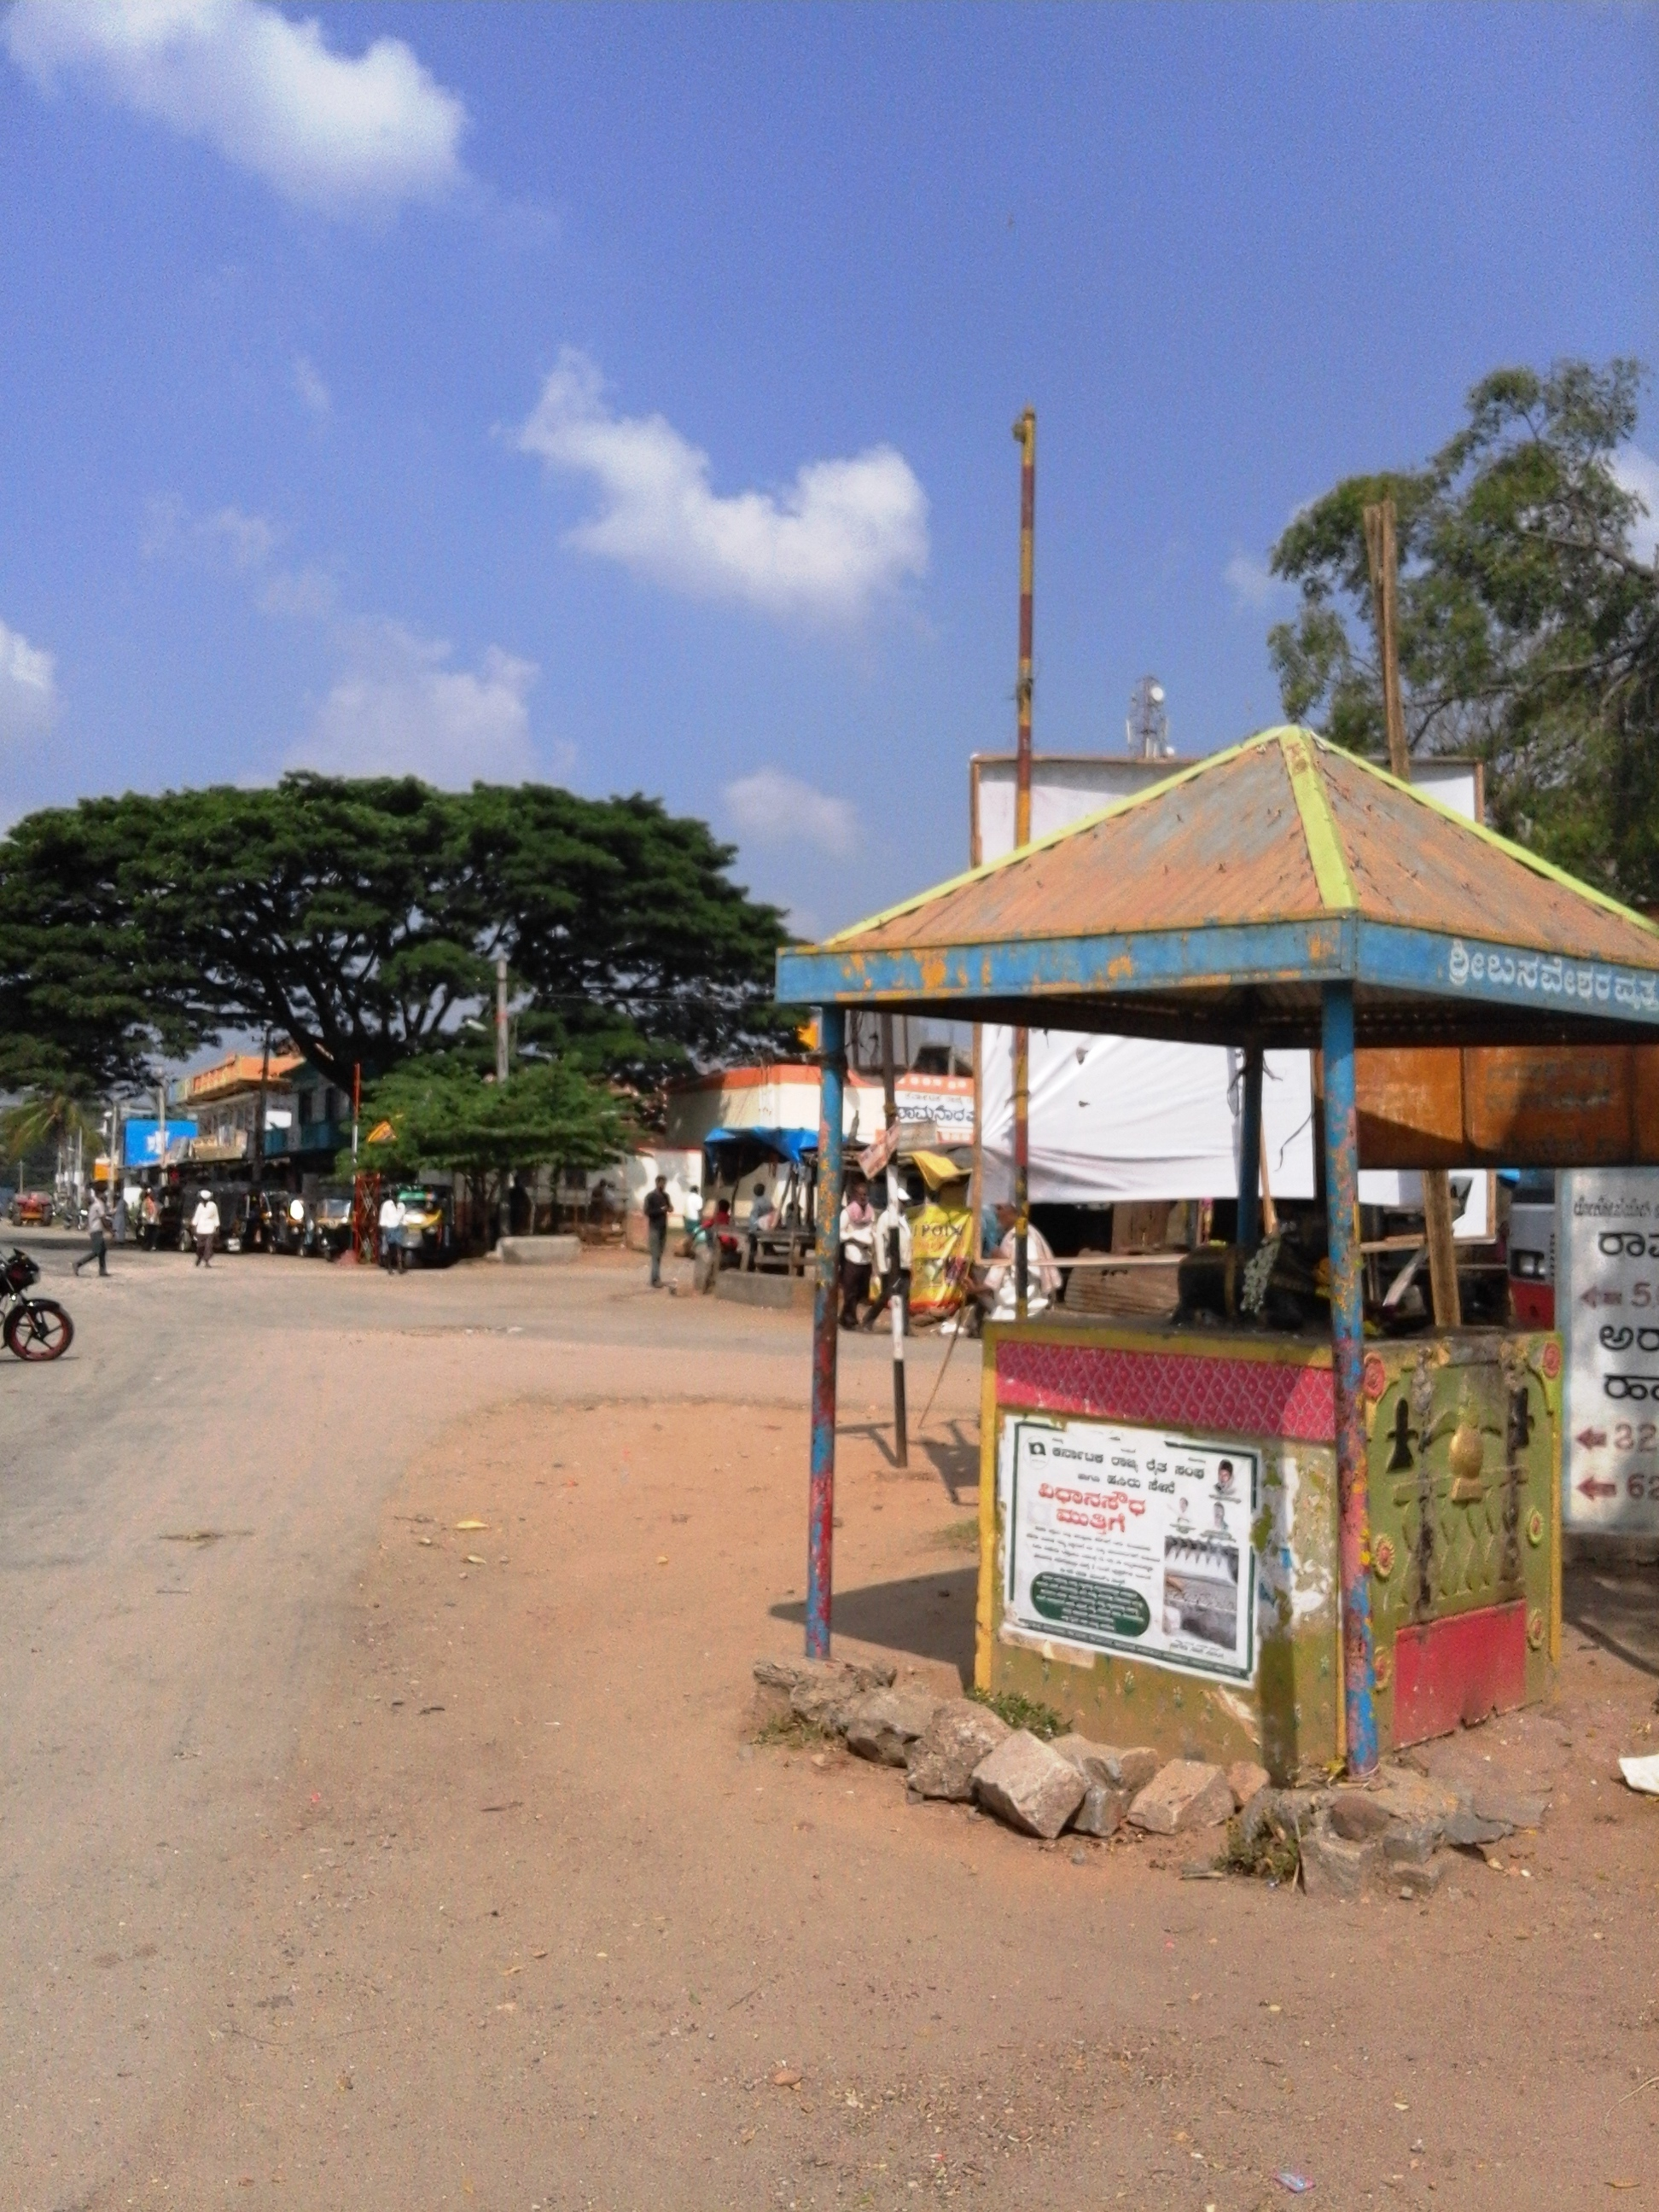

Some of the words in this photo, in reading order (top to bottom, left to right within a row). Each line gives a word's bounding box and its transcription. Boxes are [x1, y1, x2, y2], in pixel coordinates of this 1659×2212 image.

[1442, 928, 1617, 1006] ಶ್ರೀಬಸವೇಶರ
[887, 1102, 968, 1126] ಕರಾಮನಾಥ
[1047, 1441, 1109, 1470] ಆರ್ನಾಟಕ
[1103, 1470, 1144, 1493] జెనరు
[1168, 1459, 1209, 1484] ಸಂಘ
[1035, 1481, 1150, 1520] ವಿಧಾನಸೌಧ
[1052, 1503, 1129, 1540] ಮುತ್ರಗ